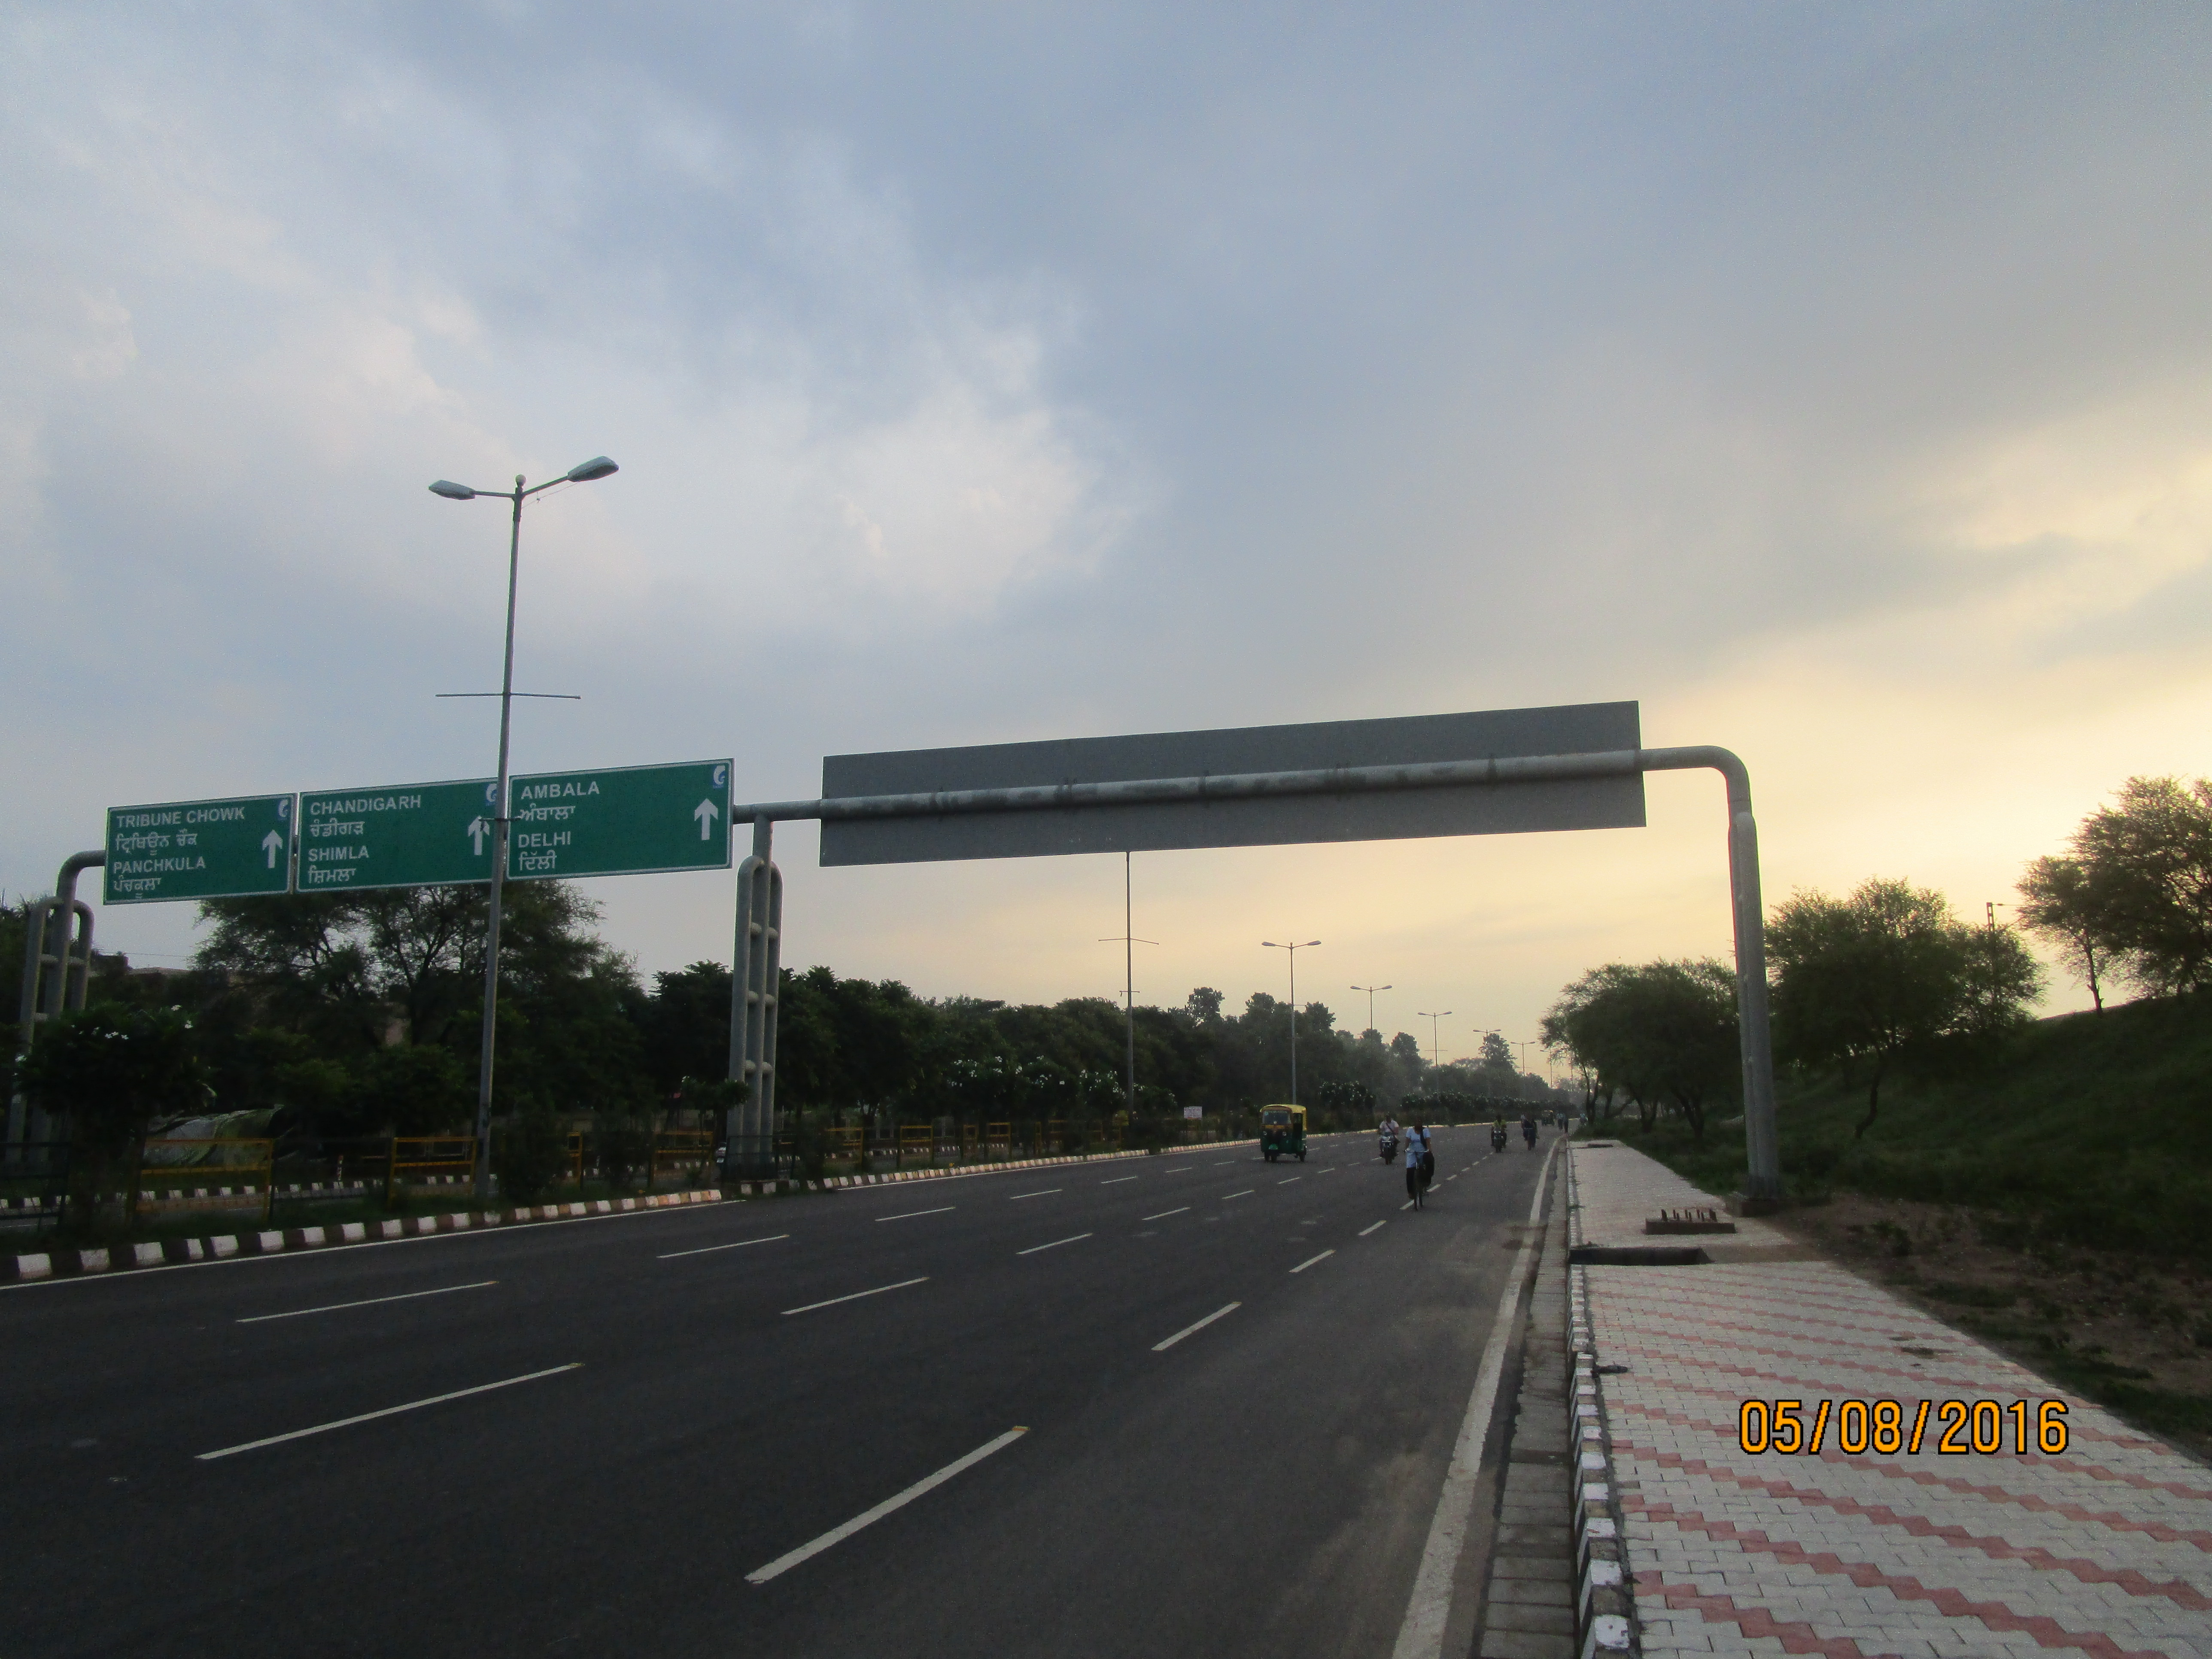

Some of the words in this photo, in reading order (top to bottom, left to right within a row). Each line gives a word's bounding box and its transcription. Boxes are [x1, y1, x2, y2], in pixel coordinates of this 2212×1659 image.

[517, 778, 605, 802] AMBALA
[114, 809, 184, 831] TRIBUNE
[184, 805, 250, 826] CHOWK
[306, 814, 371, 840] ਚੰਡੀਗੜ
[306, 791, 425, 817] CHANDIGARH
[516, 801, 581, 825] ਅੰਬਾਲਾ
[110, 874, 165, 895] ਪੰਚਕਲਾ
[110, 828, 173, 857] ਟ੍ਰਿਥਿੳਨ
[108, 854, 212, 875] PANCHKULA
[172, 825, 201, 854] ਚੌਕ
[305, 862, 358, 887] ਸ਼ਿਮਲਾ
[307, 844, 375, 864] SHIMLA
[517, 848, 563, 874] ਦਿੱਲੀ
[512, 828, 575, 851] DELHI
[1726, 1390, 2080, 1470] 05/08/2016